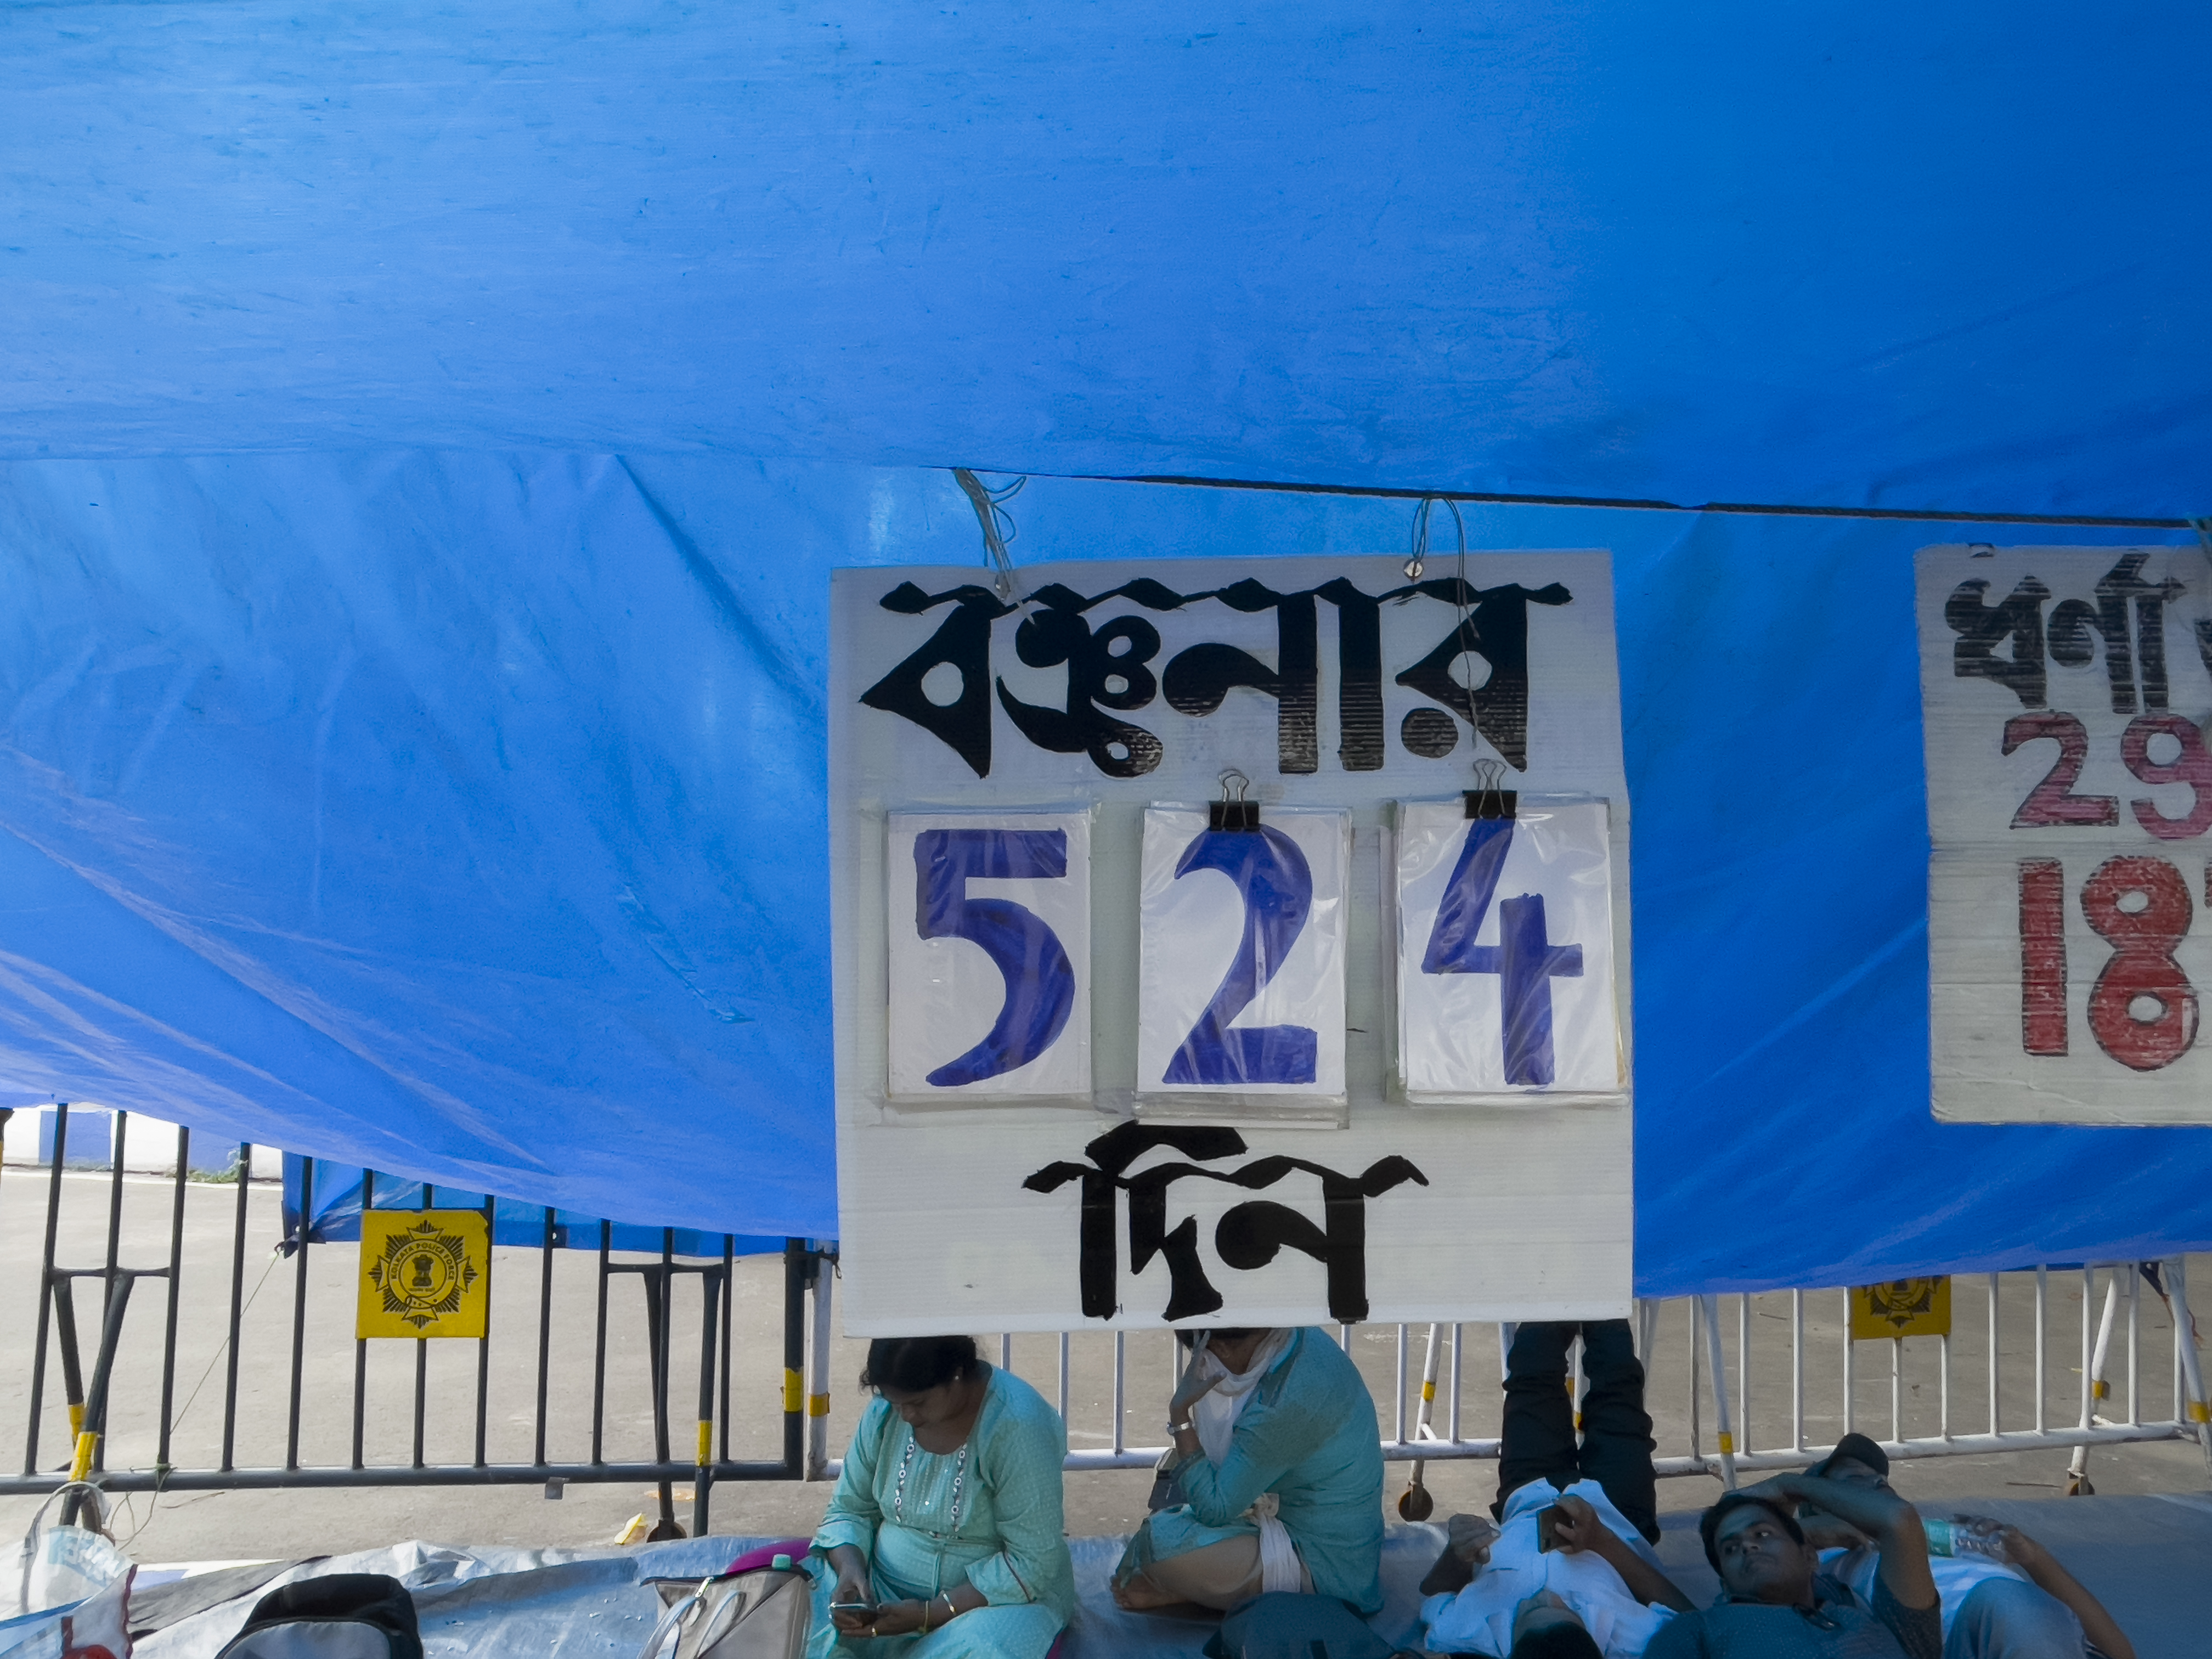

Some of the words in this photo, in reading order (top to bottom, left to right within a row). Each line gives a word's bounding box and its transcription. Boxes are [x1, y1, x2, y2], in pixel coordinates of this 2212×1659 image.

[853, 567, 1583, 790] বঞ্ঝনার
[1939, 535, 2191, 727] ধর্ণা
[1993, 689, 2210, 849] 29
[906, 804, 1591, 1102] 524
[2007, 835, 2205, 1080] 18
[386, 1242, 416, 1283] KOLKATA
[414, 1237, 448, 1256] POLICE
[442, 1250, 458, 1284] FORCE
[1022, 1103, 1437, 1338] দিন